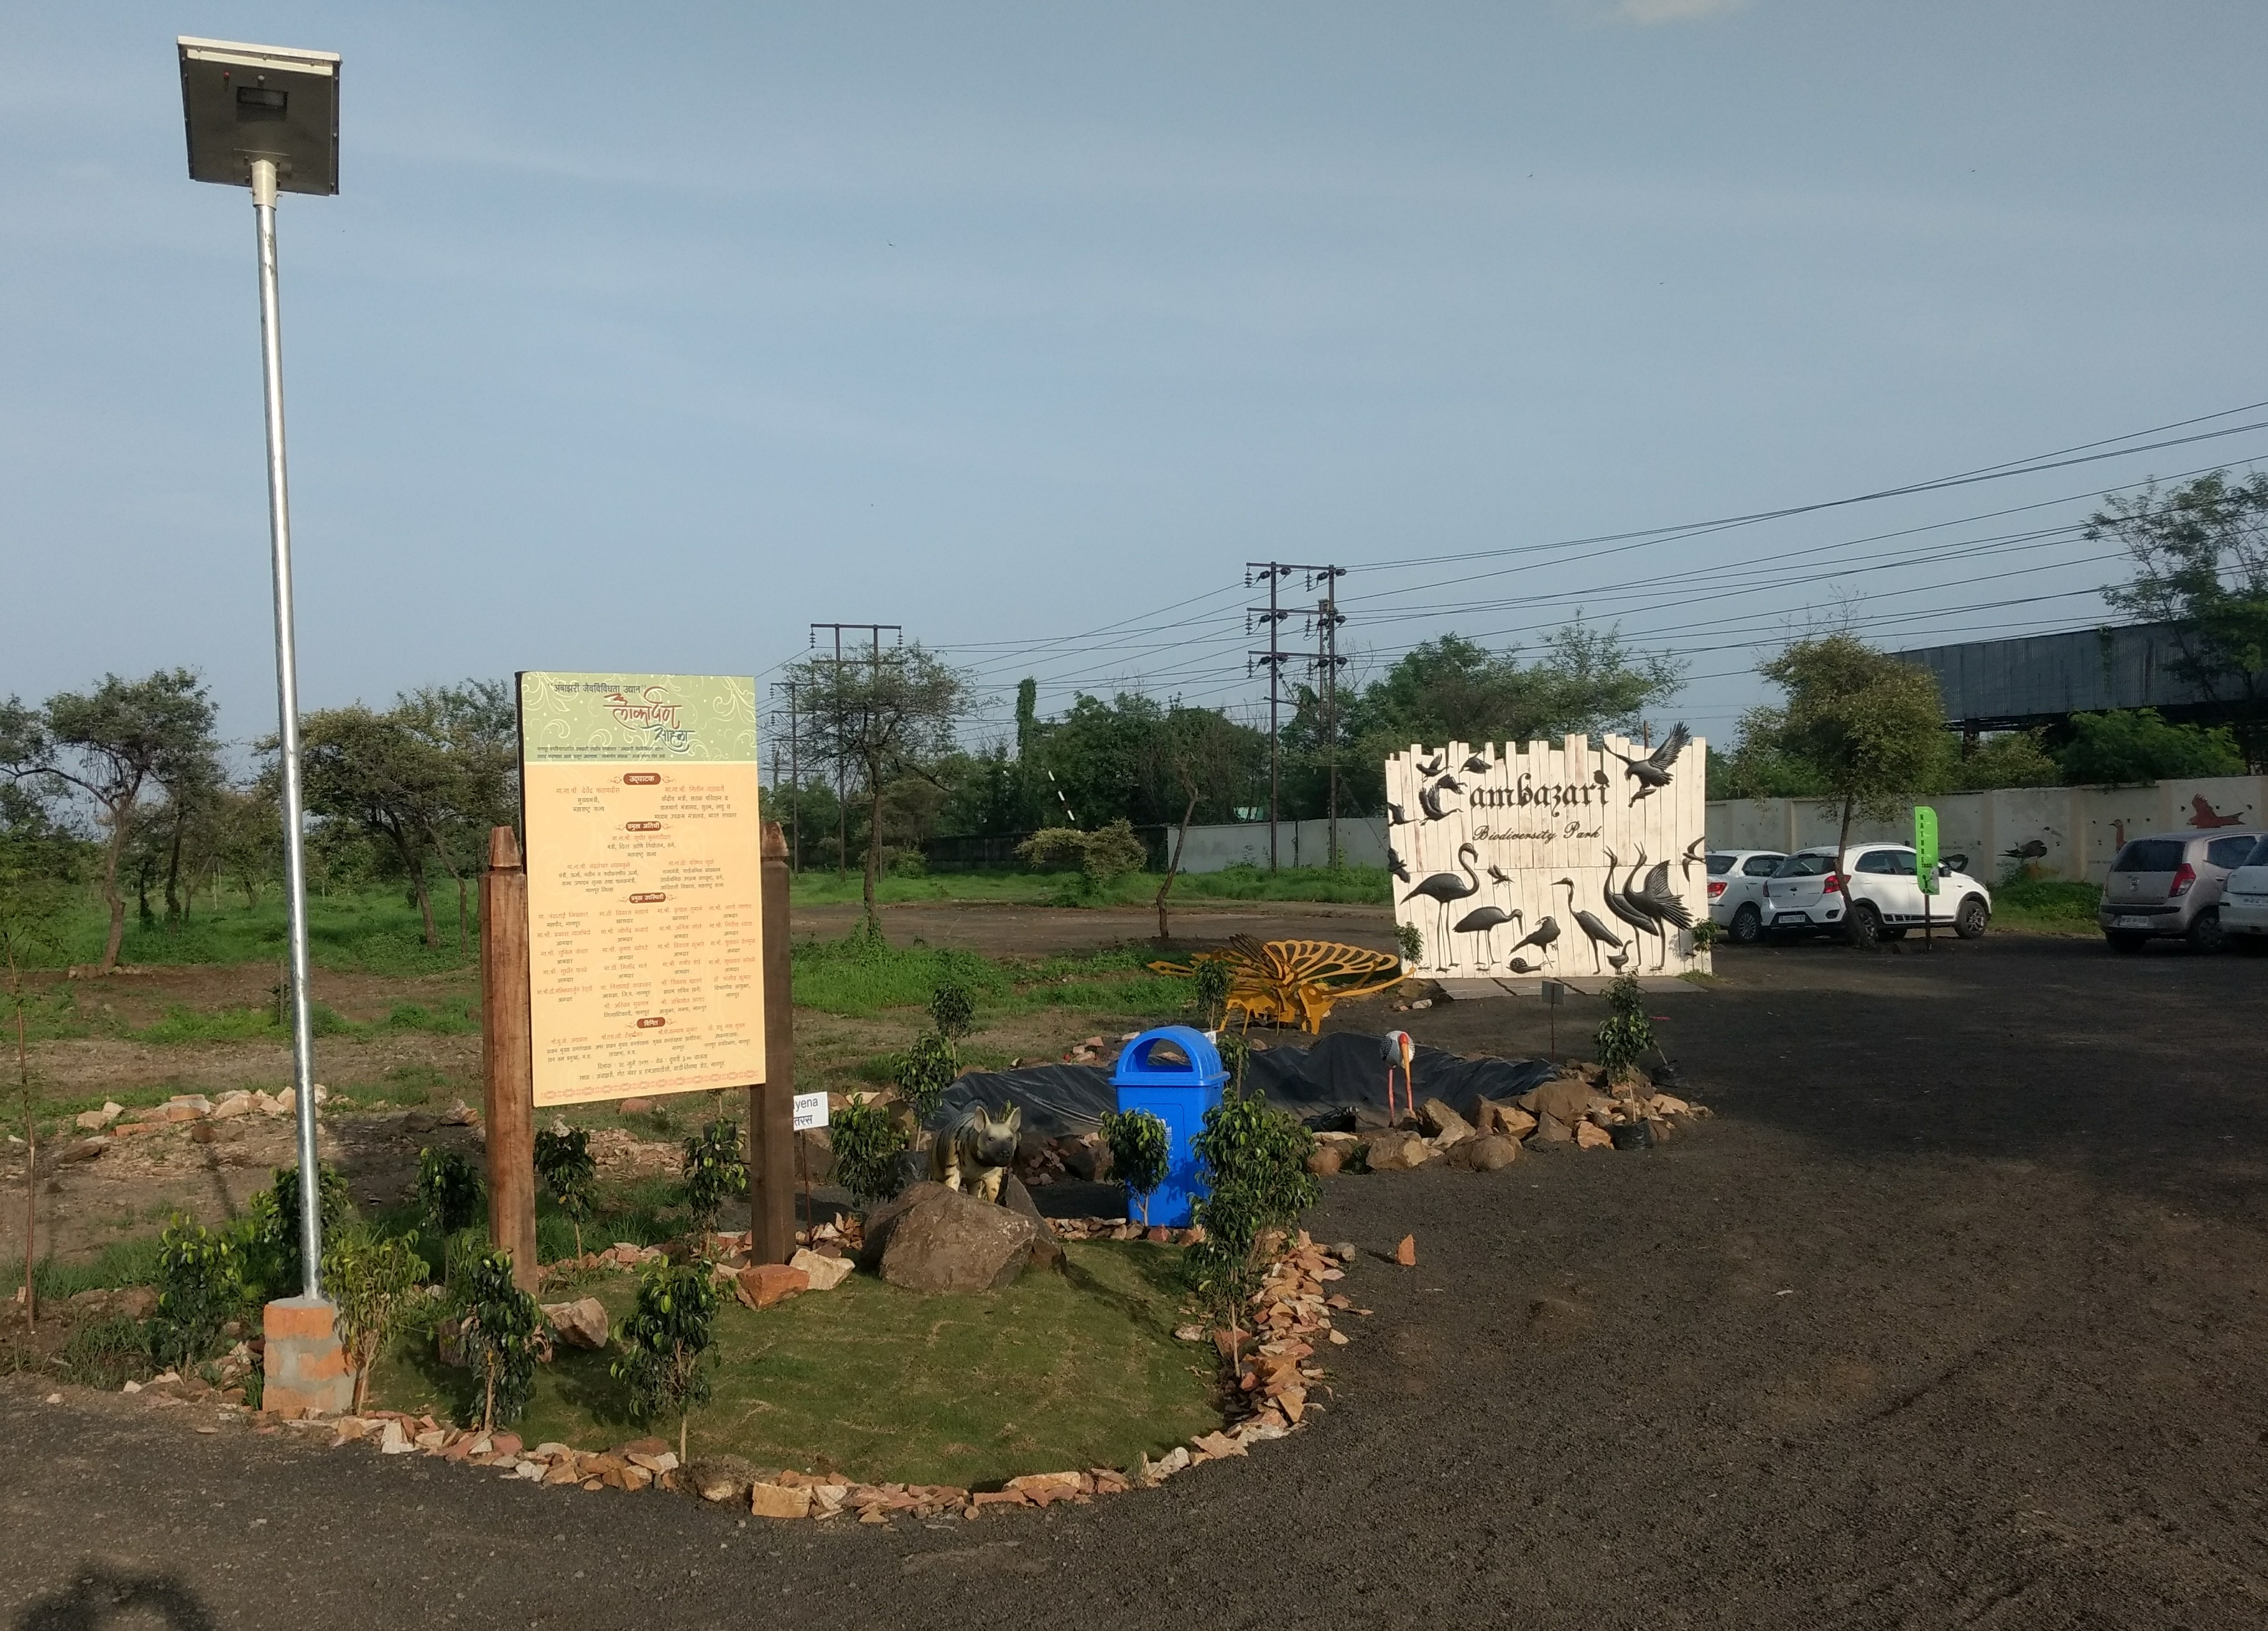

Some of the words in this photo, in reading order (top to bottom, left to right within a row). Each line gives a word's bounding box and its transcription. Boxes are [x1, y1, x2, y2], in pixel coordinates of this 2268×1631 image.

[544, 681, 581, 699] ''अंबाझरी
[580, 680, 623, 695] जैवविविधता
[622, 682, 649, 695] उद्यान"
[599, 684, 688, 735] लोकार्पण
[637, 724, 703, 757] सोहळा
[626, 773, 656, 785] उद्घाटक
[1465, 768, 1619, 819] ambazari
[1469, 821, 1560, 850] Biodiversity
[1559, 816, 1605, 847] Park
[793, 1096, 823, 1114] yena
[793, 1112, 816, 1131] तरस